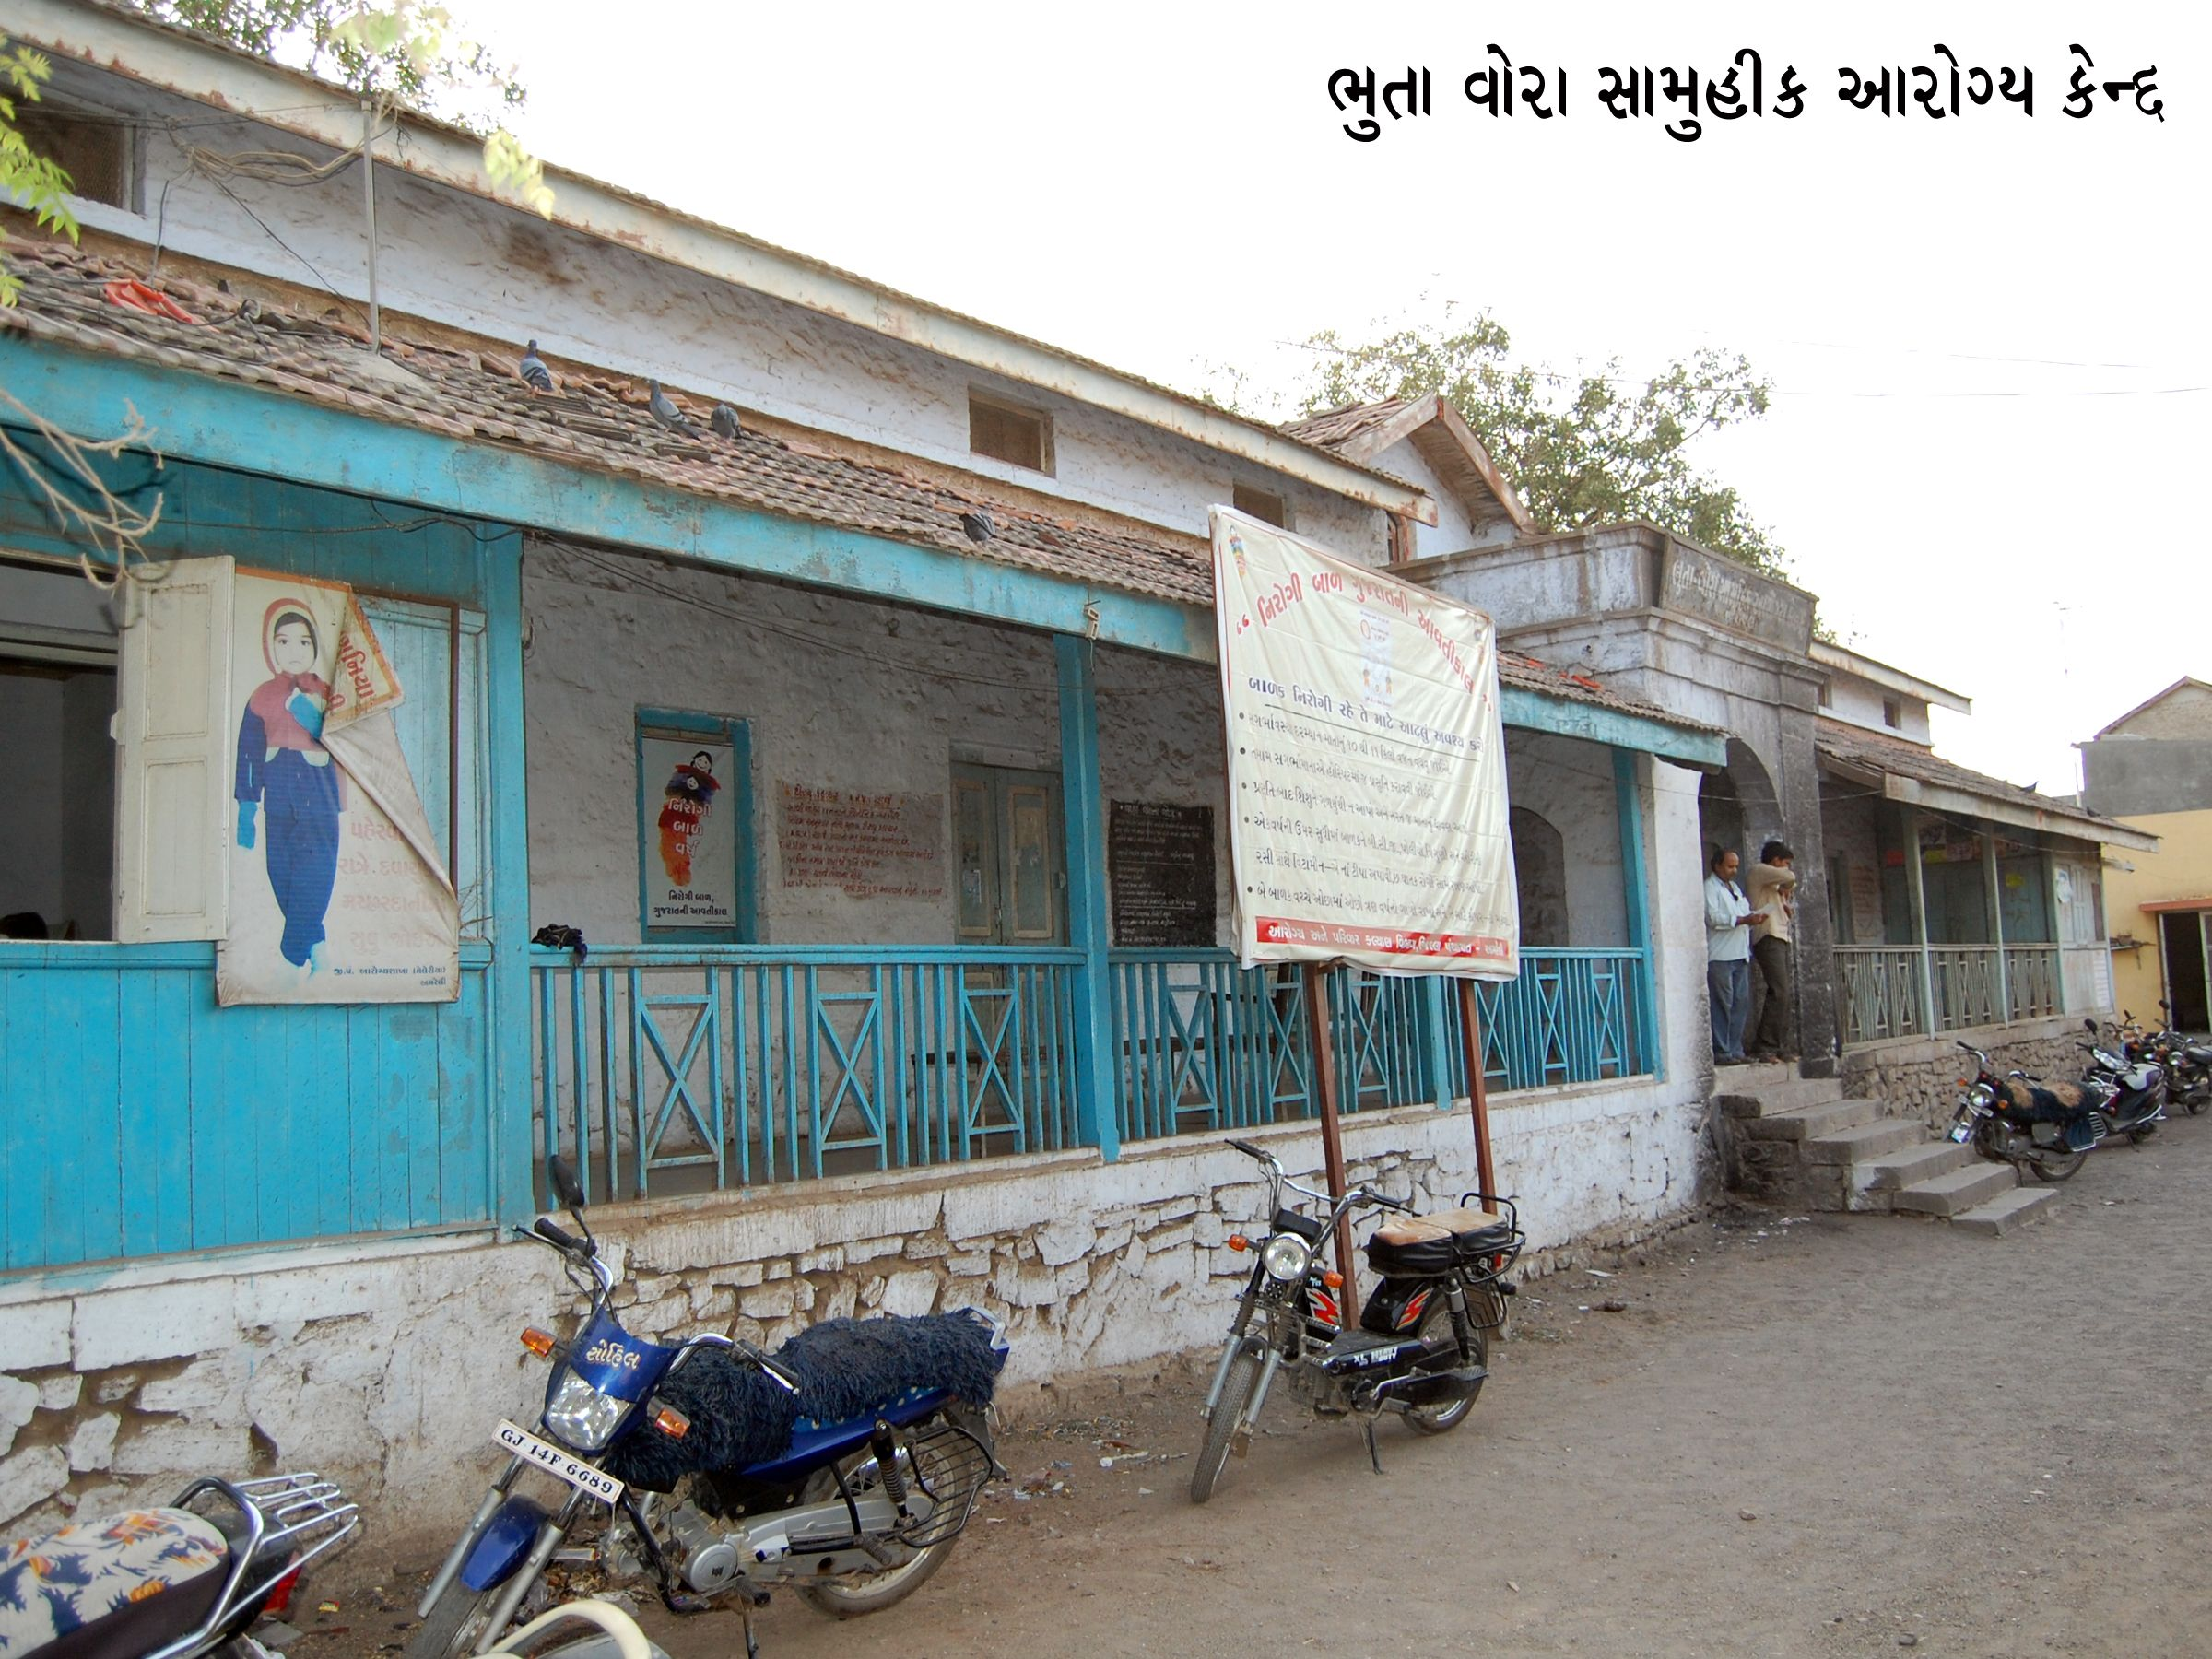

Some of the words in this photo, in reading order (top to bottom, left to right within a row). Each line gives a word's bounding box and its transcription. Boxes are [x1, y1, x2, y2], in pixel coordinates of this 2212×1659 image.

[1320, 52, 1438, 153] ભુતા
[1458, 39, 1574, 131] વોરા
[1591, 33, 1819, 159] સામુહીક
[1838, 36, 2036, 128] આરોગ્ય
[2046, 35, 2175, 140] કેન્દ્દ
[1247, 570, 1311, 633] નિરોગી
[1305, 568, 1347, 595] બાળ
[1346, 571, 1415, 617] ગુજરાતની
[1412, 606, 1478, 695] આવતીકાલ
[582, 1338, 641, 1370] સોહિલ
[498, 1430, 618, 1501] GJ14F6689